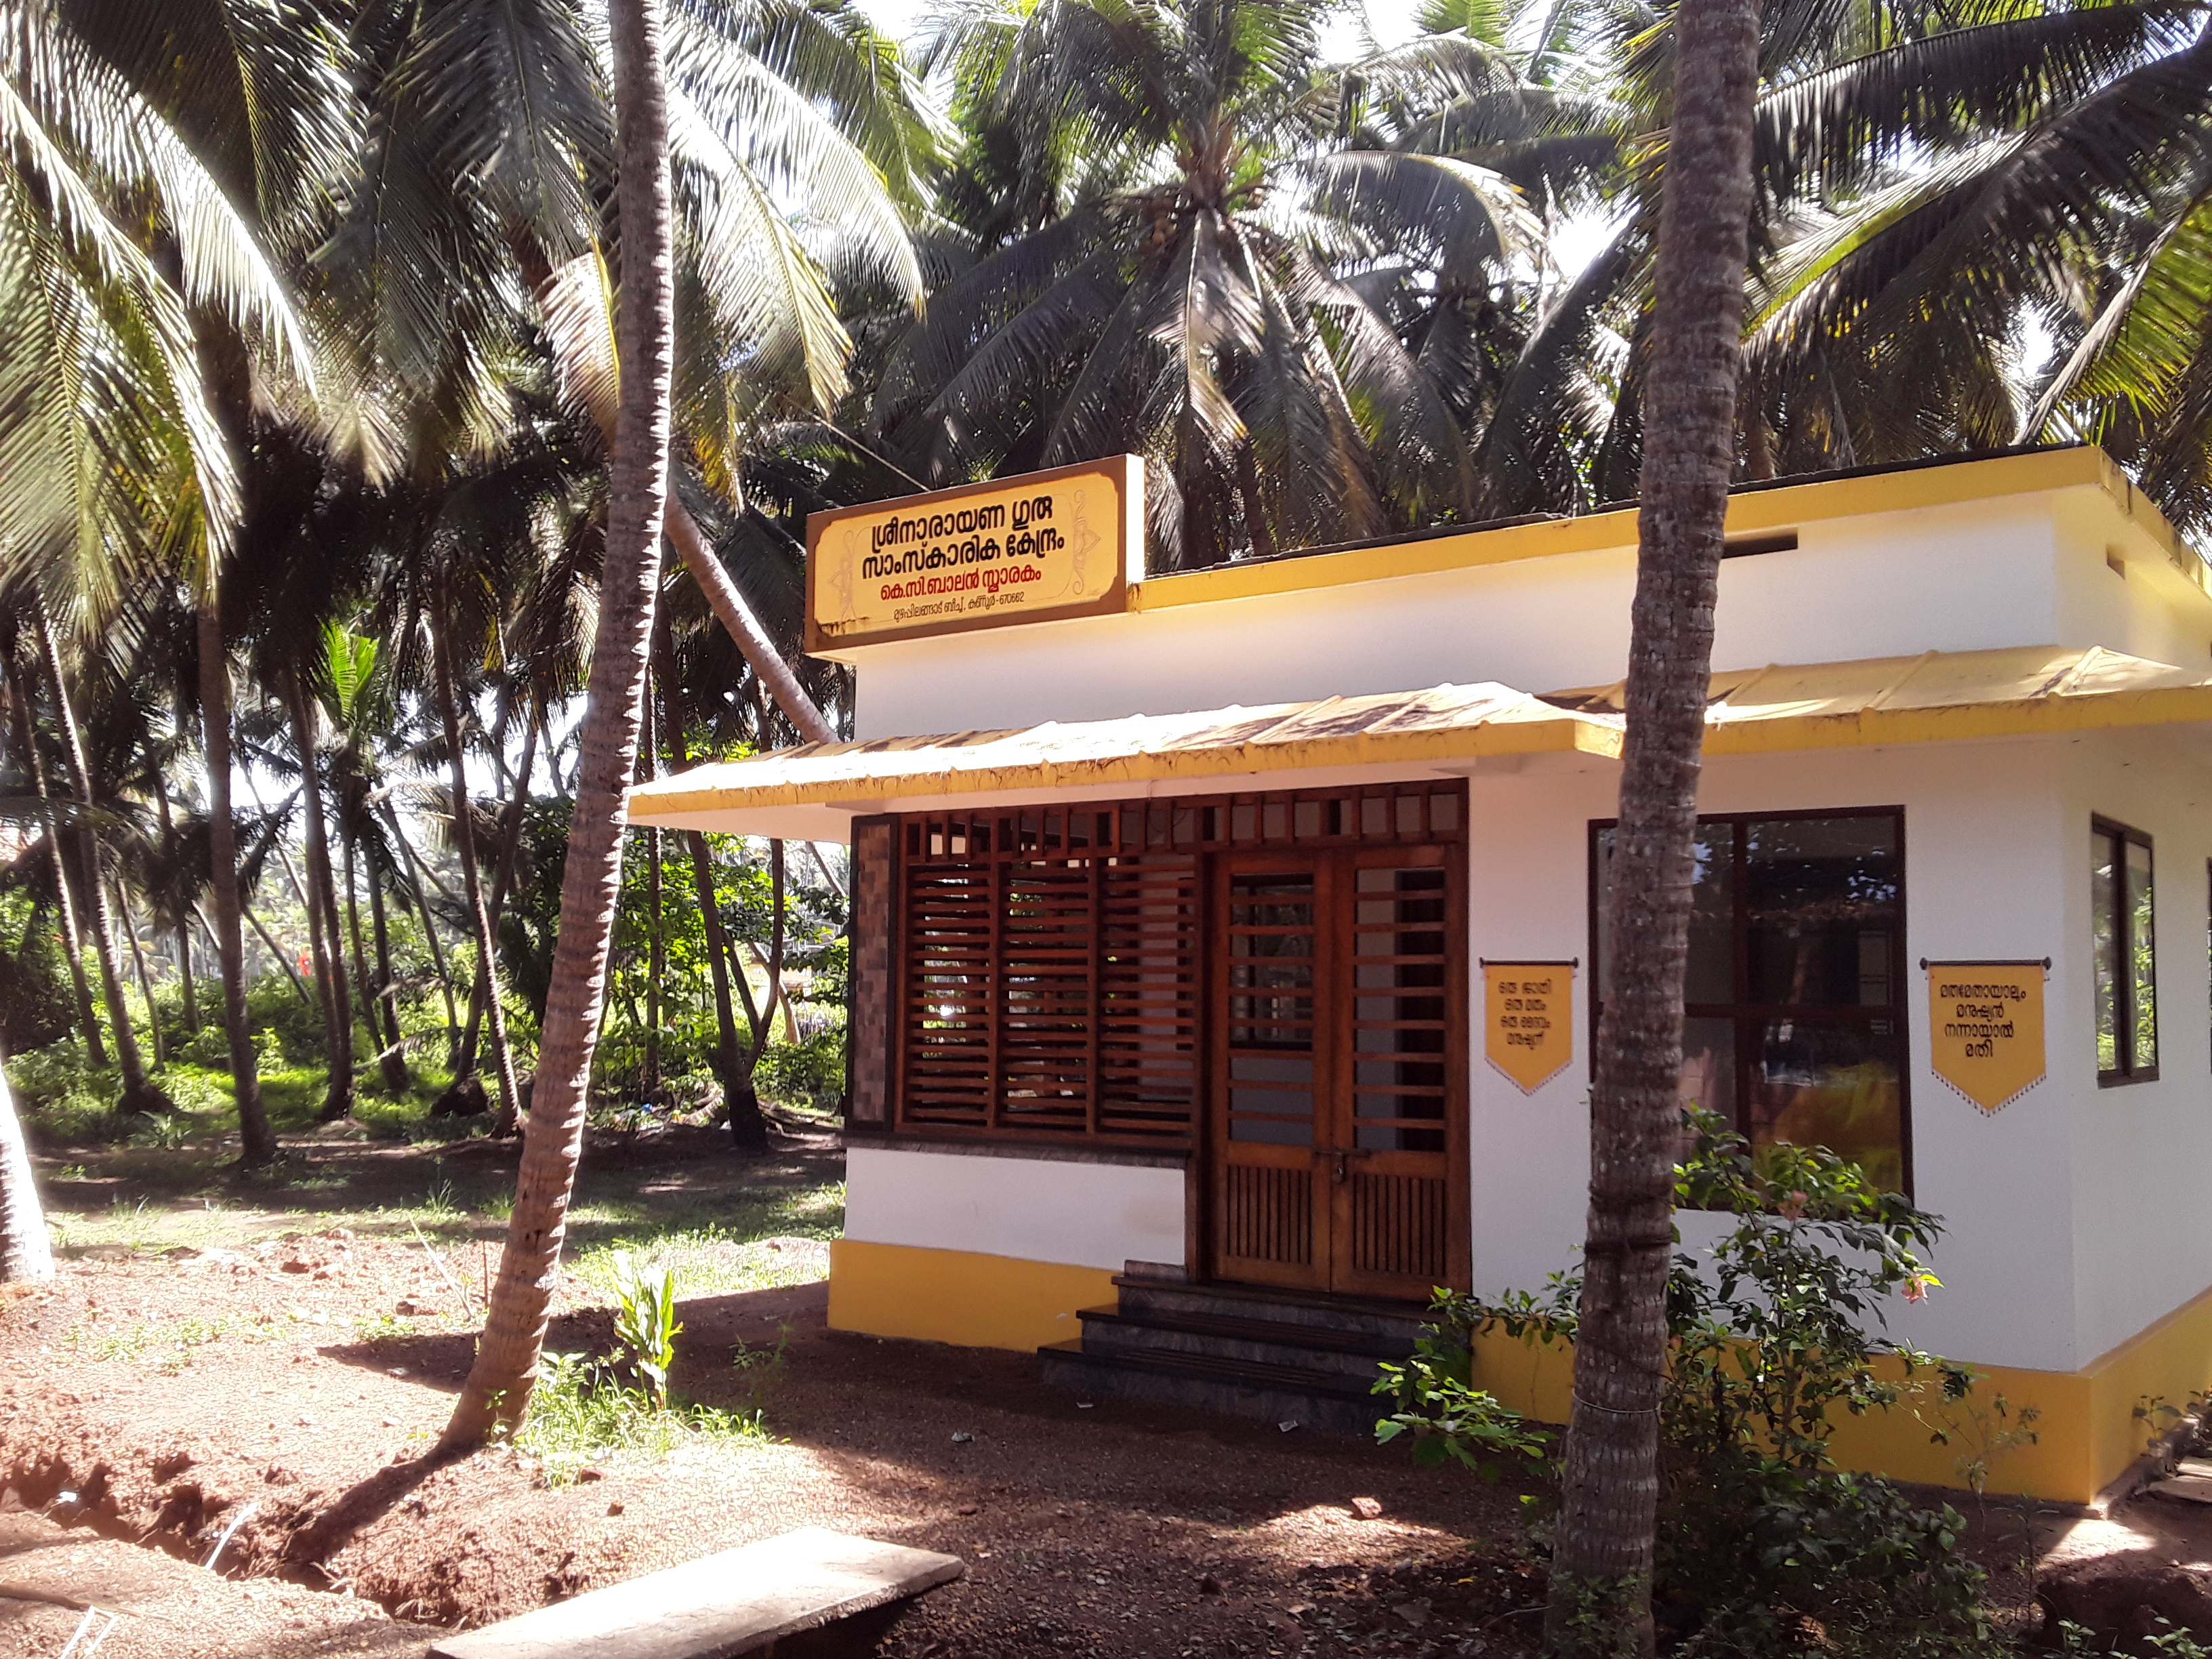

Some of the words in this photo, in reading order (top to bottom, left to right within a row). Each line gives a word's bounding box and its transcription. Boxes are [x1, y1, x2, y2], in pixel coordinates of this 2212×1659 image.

[1009, 493, 1054, 534] ഗുരു
[869, 501, 1008, 555] ശ്രീനാരായണ
[859, 531, 1004, 581] സാംസ്‌കാരിക
[1002, 527, 1067, 562] കേന്ദ്രം
[875, 565, 982, 604] കെ.സി.ബാലൻ
[978, 560, 1046, 596] സ്മാരകം
[890, 598, 945, 625] മുഴപ്പിലങ്ങാട്
[942, 593, 970, 616] ബീച്ച്.
[963, 587, 1028, 611] കണൂർ-670662
[1936, 979, 2030, 1002] മതമേതായാലും
[1952, 1001, 2008, 1025] മനുഷ്യൻ
[1942, 1017, 2017, 1040] നന്നായാൽ
[1959, 1038, 1998, 1059] മതി